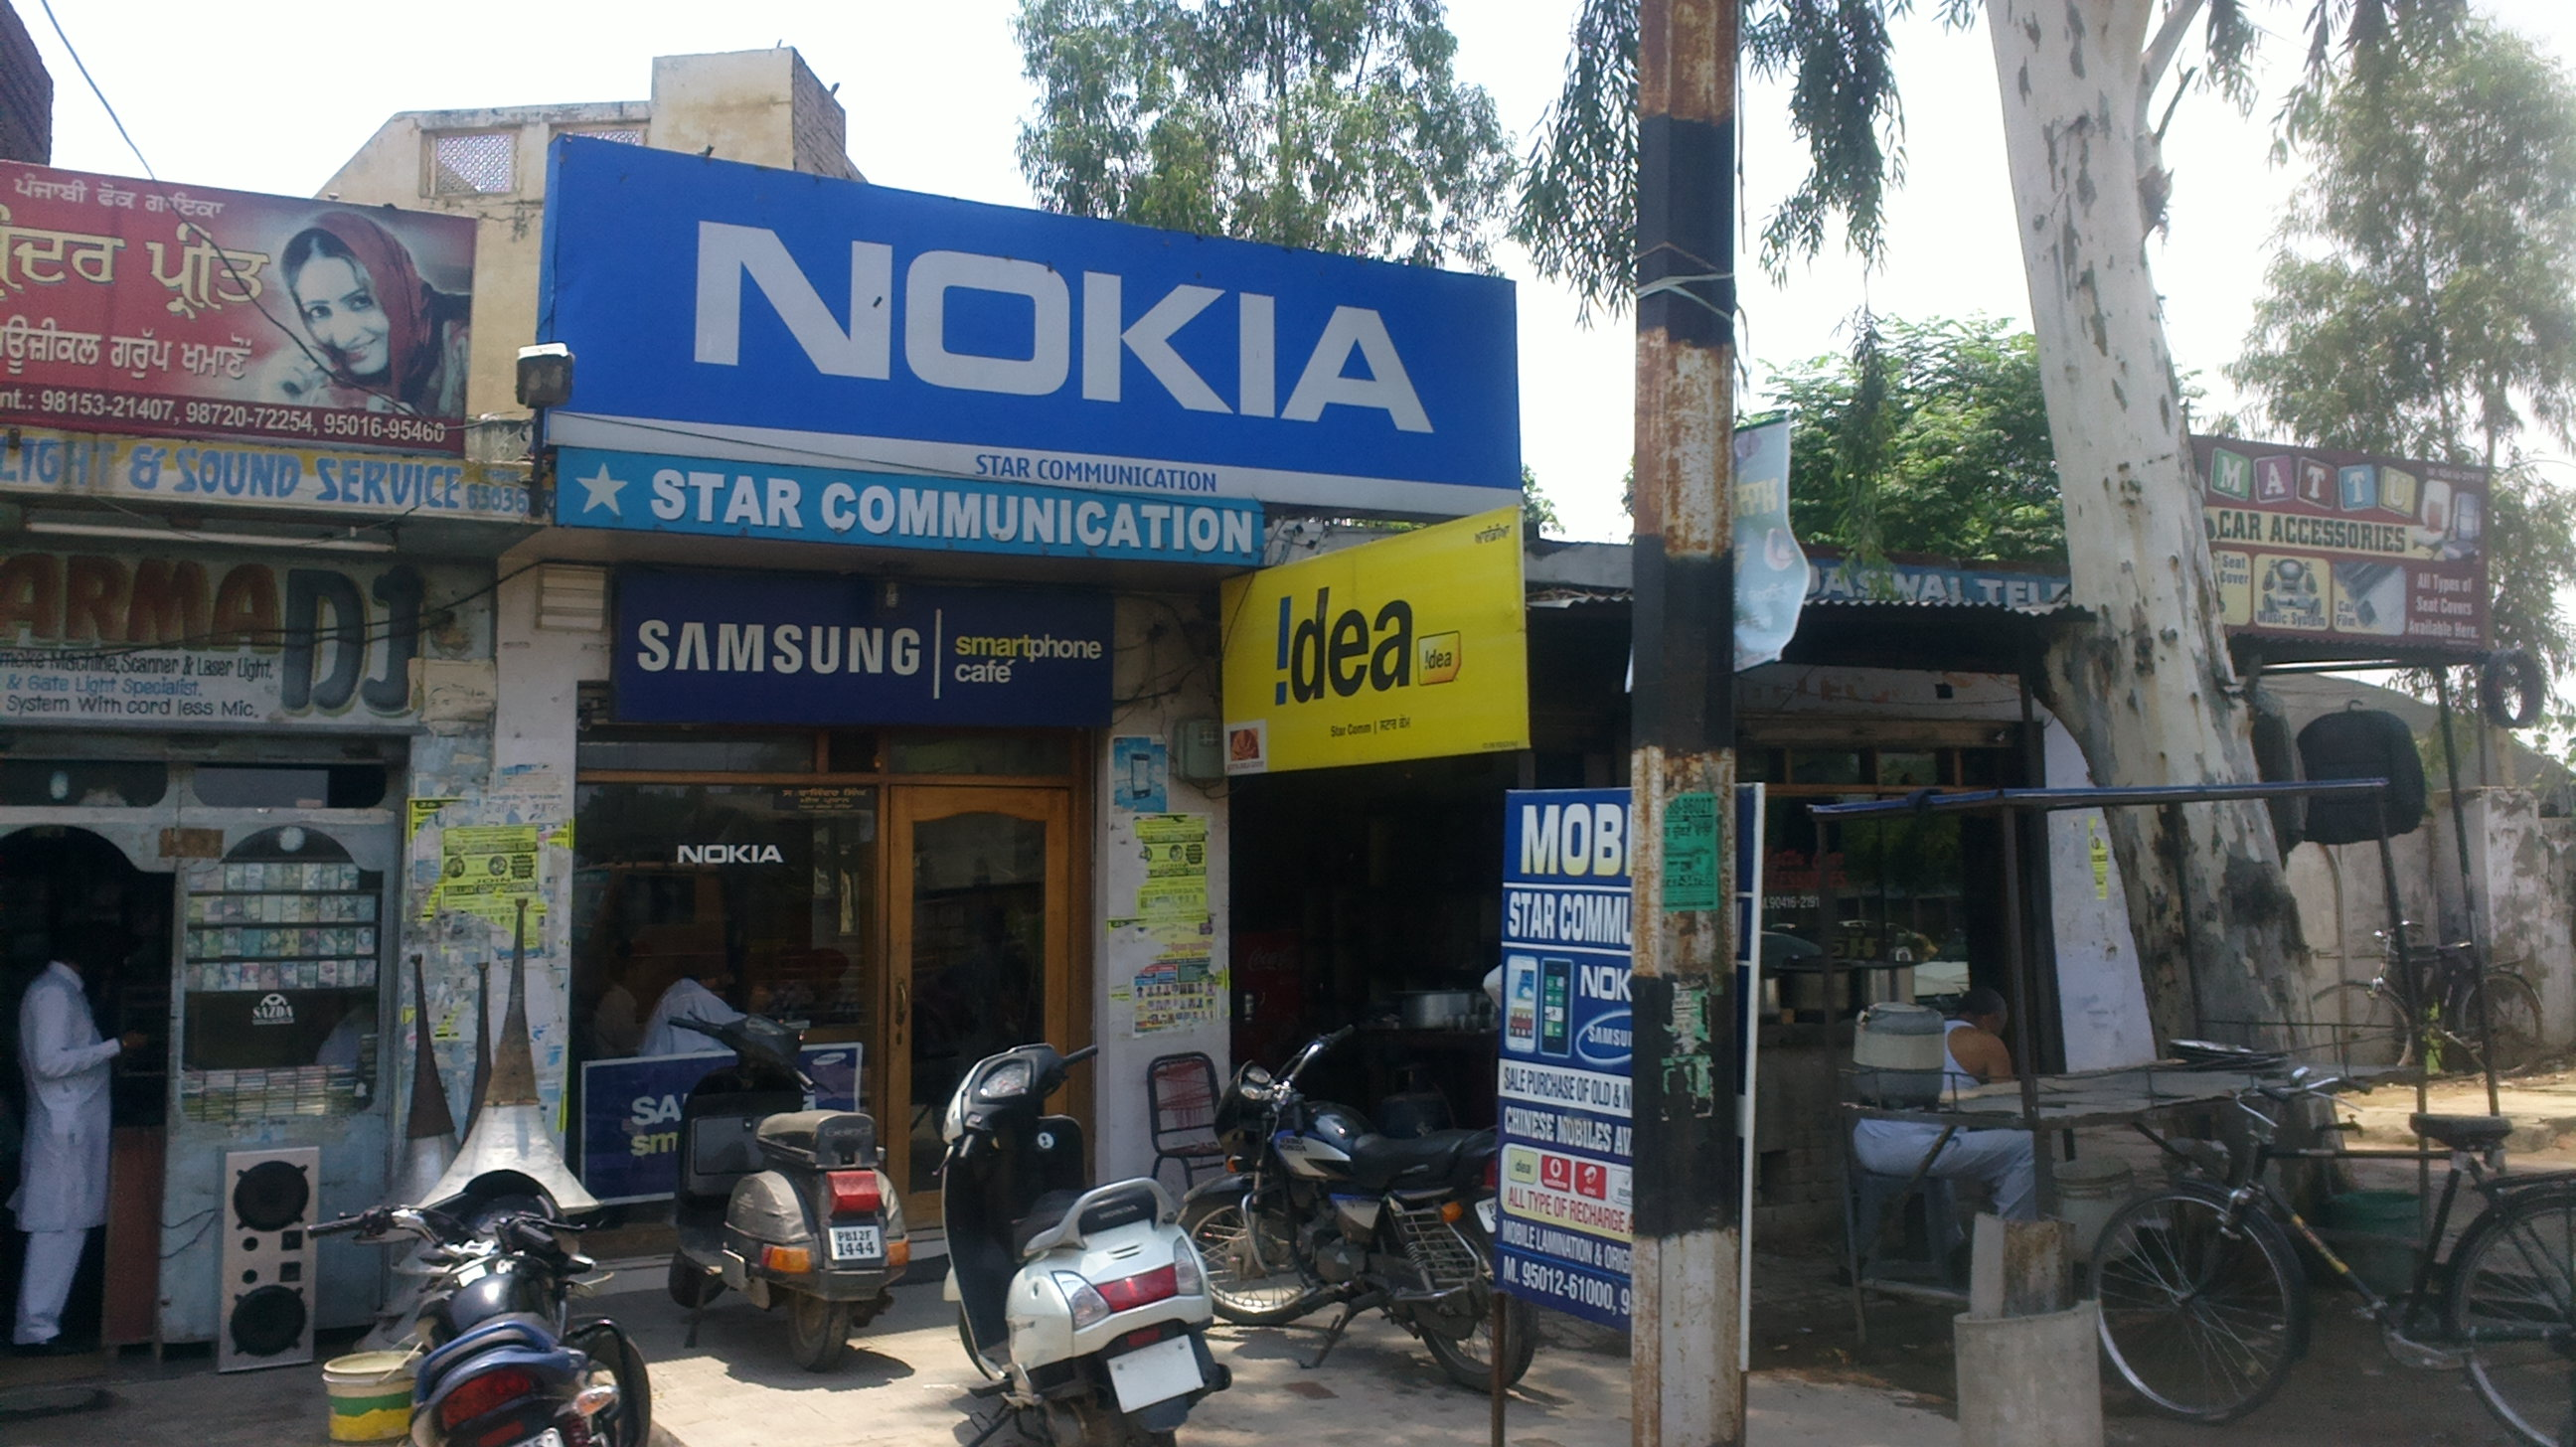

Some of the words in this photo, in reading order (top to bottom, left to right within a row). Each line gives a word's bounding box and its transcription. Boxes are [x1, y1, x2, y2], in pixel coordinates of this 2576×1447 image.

[6, 165, 94, 209] ਪੰਜਾਬੀ
[87, 177, 144, 214] ਫੋਕ
[138, 185, 230, 223] ਗਇਕਾ
[11, 215, 134, 293] ਦਰ
[135, 218, 279, 328] ਪ੍ਰੀਤ
[3, 309, 105, 380] ਊਜ਼ੀਕਲ
[101, 322, 177, 380] ਗਰੁੱਪ
[176, 328, 259, 384] ਖਮਾਣੋਂ
[678, 211, 1443, 441] NOKIA
[36, 384, 179, 424] 98153-21407
[179, 396, 321, 437] 98720-72254,
[319, 409, 449, 447] 95016-95460
[0, 428, 125, 489] LIGHT
[120, 436, 172, 495] &
[163, 439, 306, 506] SOUND
[306, 454, 465, 515] SERVICE
[641, 453, 815, 537] STAR
[964, 443, 1036, 482] STAR
[811, 470, 1263, 561] COMMUNICATION
[1034, 452, 1227, 497] COMMUNICATION
[2210, 448, 2253, 500] M
[2215, 505, 2269, 548] CAR
[2254, 455, 2295, 501] A
[2299, 459, 2338, 510] T
[2267, 510, 2412, 558] ACCESSORIES
[2338, 462, 2380, 510] T
[2378, 464, 2415, 515] U
[0, 550, 283, 656] ARMA
[1, 670, 24, 692] &
[2, 692, 74, 718] System
[23, 672, 72, 696] Gate
[70, 672, 120, 697] Light
[73, 693, 124, 718] With
[121, 696, 176, 719] cord
[119, 647, 183, 677] Scanner
[119, 677, 202, 699] Specialist.
[179, 653, 196, 677] &
[173, 697, 218, 722] less
[218, 696, 263, 723] Mic,
[235, 653, 280, 684] Light.
[276, 558, 429, 722] DJ
[632, 607, 926, 682] SAMSUNG
[948, 657, 1021, 689] cafe
[952, 629, 1106, 670] smartphone
[1265, 583, 1418, 715] !dea
[1417, 642, 1456, 676] !dea
[672, 838, 787, 867] NOKIA
[1514, 798, 1626, 882] MOB
[1503, 885, 1558, 944] STAR
[1557, 889, 1623, 950] COMM
[1576, 961, 1634, 1011] NOK
[1581, 1022, 1634, 1050] SAMSUN
[623, 1124, 682, 1164] sm
[624, 1089, 685, 1130] SA
[1500, 1059, 1528, 1096] SALE
[1498, 1104, 1556, 1149] CHINESE
[1524, 1068, 1577, 1105] PURCHASE
[1576, 1072, 1591, 1105] OF
[1555, 1111, 1615, 1156] MOBILES
[1589, 1076, 1613, 1112] OLD
[1502, 1182, 1528, 1211] ALL
[1526, 1187, 1553, 1217] TYPE
[1552, 1194, 1567, 1220] OF
[1566, 1196, 1628, 1235] RECHARGE
[832, 1227, 881, 1257] PB12F 1444
[1498, 1246, 1522, 1287] M.
[1521, 1254, 1617, 1314] 95012-61000,
[1615, 1282, 1633, 1317] 9